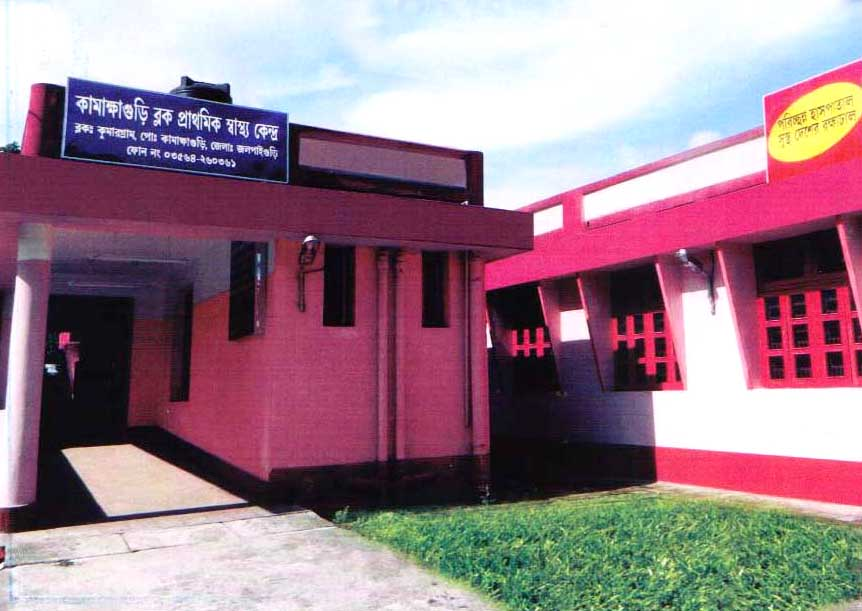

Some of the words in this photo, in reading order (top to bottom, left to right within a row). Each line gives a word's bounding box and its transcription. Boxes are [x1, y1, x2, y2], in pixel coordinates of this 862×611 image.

[68, 118, 101, 141] ব্লকঃ
[68, 89, 158, 129] কামাক্ষাগুড়ি
[122, 141, 165, 162] ফোন নং
[133, 127, 162, 147] পোঃ
[149, 99, 181, 132] ব্লক
[159, 145, 241, 172] ০৩৫৬৪-২৬০০৬১
[172, 100, 231, 133] প্ৰাথমিক
[208, 133, 240, 157] জেলাঃ
[219, 110, 258, 143] স্বাস্থ্য
[233, 141, 283, 162] জলপাইগুড়ি
[249, 115, 284, 149] কেন্দ্ৰ
[766, 103, 818, 135] পরিচ্ছন্ন